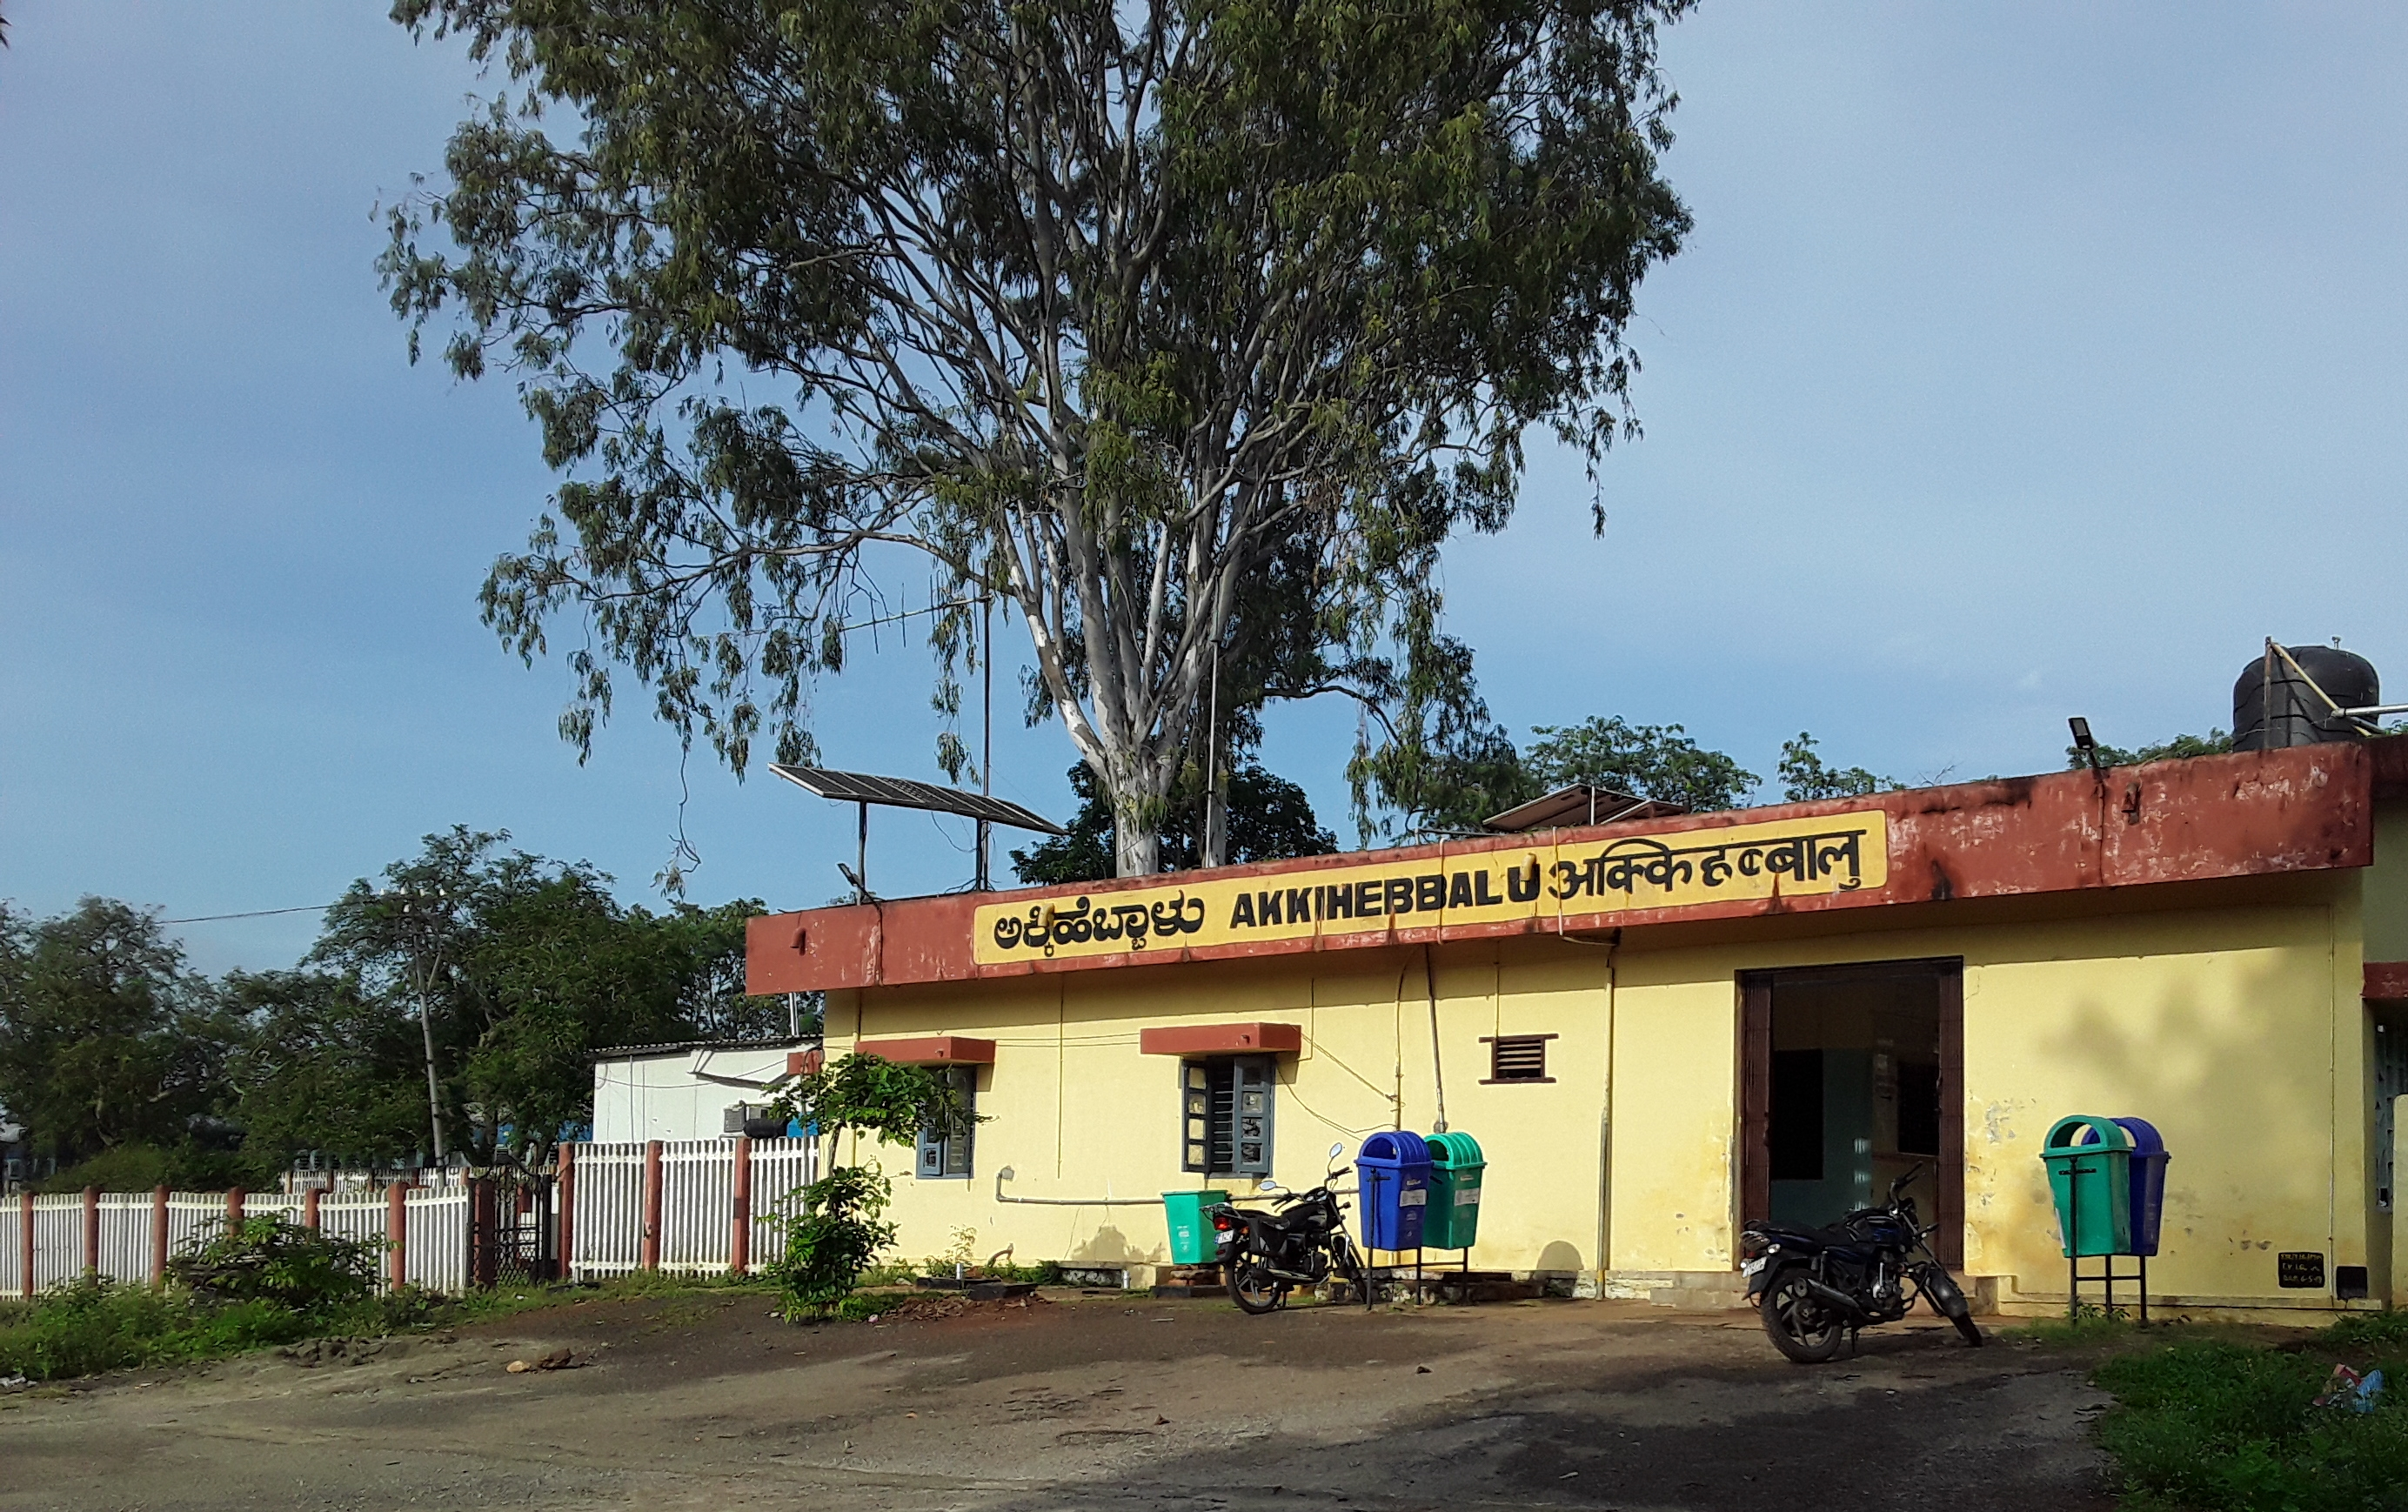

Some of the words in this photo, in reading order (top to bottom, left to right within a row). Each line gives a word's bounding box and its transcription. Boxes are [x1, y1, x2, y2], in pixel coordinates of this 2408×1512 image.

[990, 885, 1213, 958] ಅಕ್ಕಿಹೆಬ್ಬಾಳು
[1225, 861, 1544, 933] AKKIHEBBALU
[1540, 827, 1871, 906] अक्किहब्बालु